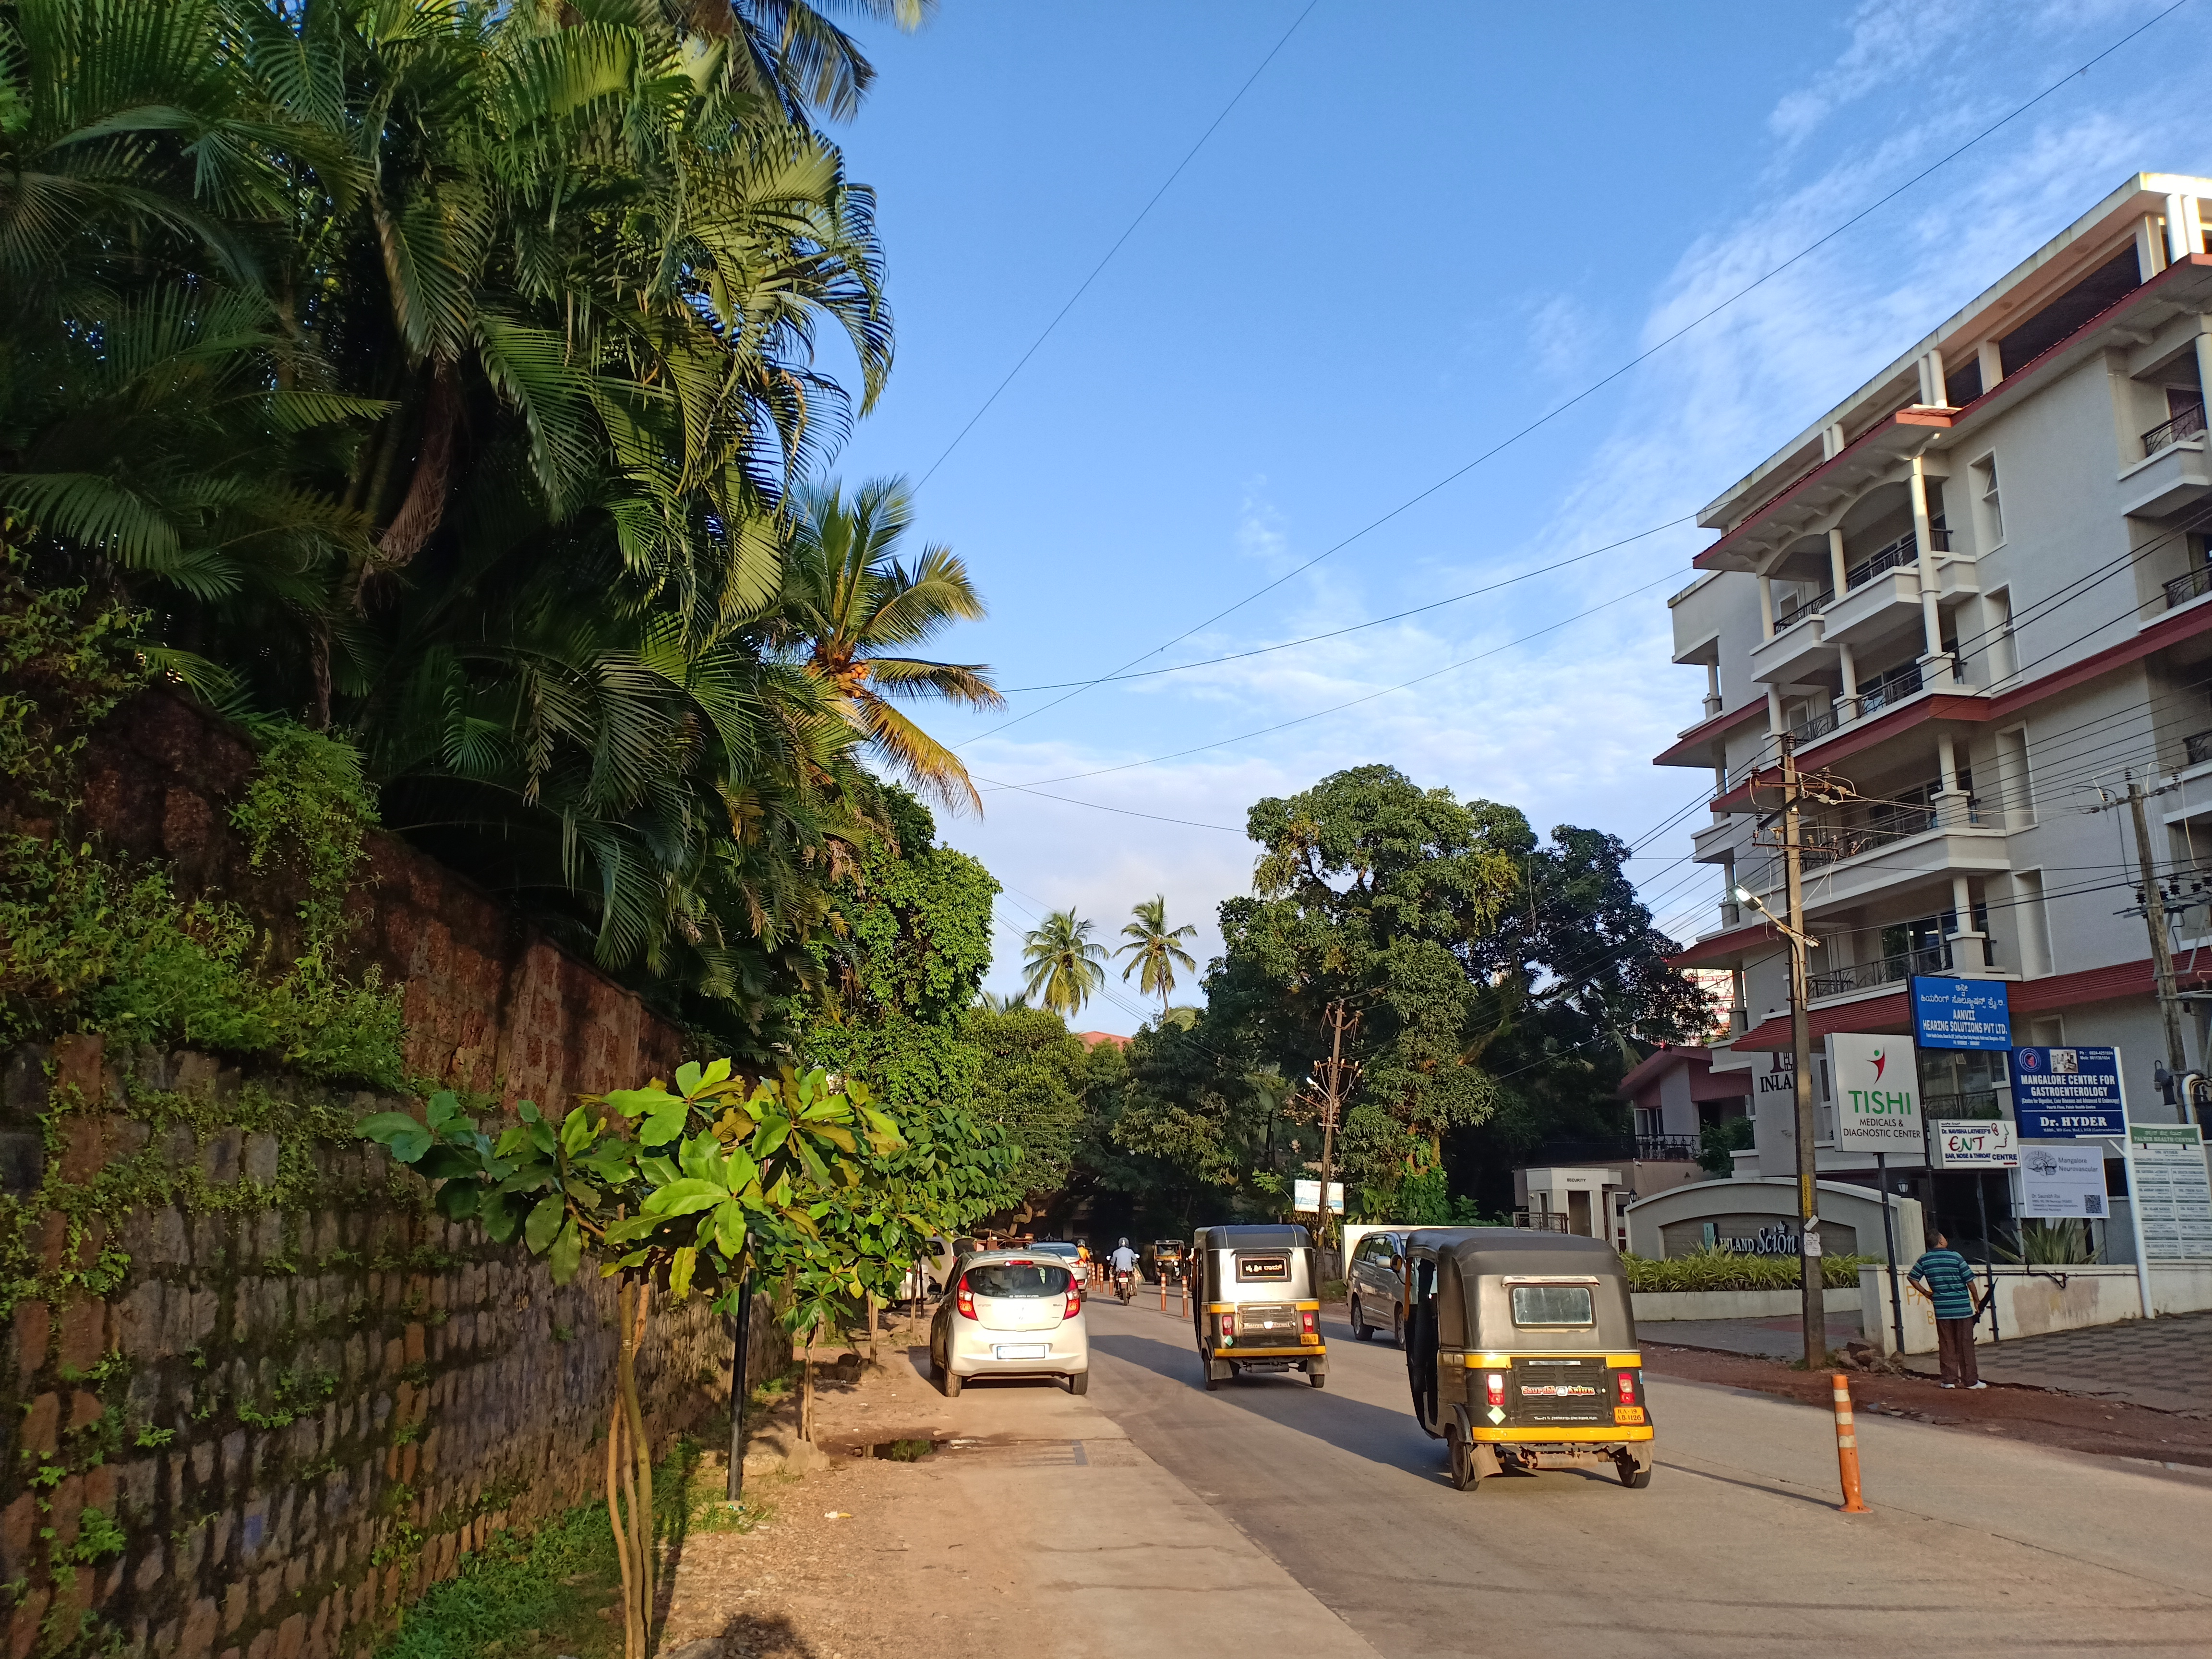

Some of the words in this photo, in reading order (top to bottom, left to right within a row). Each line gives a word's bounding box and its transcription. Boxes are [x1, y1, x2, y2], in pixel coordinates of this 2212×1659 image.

[1953, 980, 1970, 998] ಅನ್ವೀ
[1916, 991, 1950, 1006] ಹಿಯರಿಂಗ್
[1949, 992, 1987, 1011] ಸೊಲ್ಯೂಷನ್ಸ್
[1985, 993, 2007, 1011] ಪ್ರೈ.ಲಿ.
[1951, 1007, 1978, 1022] AANVII
[1922, 1017, 1951, 1034] HEARING
[1948, 1019, 1984, 1035] SOLUTIONS
[2076, 1055, 2112, 1063] Mob: 9011341004
[2018, 1070, 2068, 1086] MANGALORE
[2066, 1069, 2099, 1087] CENTRE
[2097, 1072, 2116, 1086] FOR
[2026, 1081, 2110, 1098] GASTROENTEROLOGY
[1845, 1084, 1912, 1117] TISHI
[1857, 1114, 1898, 1129] MEDICALS
[1894, 1118, 1905, 1128] &
[2037, 1115, 2062, 1129] Dr.
[2060, 1113, 2110, 1128] HYDER
[1842, 1127, 1893, 1139] DIAGNOSTIC
[1892, 1127, 1922, 1140] CENTER
[1938, 1126, 1969, 1136] Dr.NAVISHA
[1966, 1127, 1993, 1136] LATHEEF
[2132, 1133, 2155, 1143] PALNER
[2150, 1133, 2175, 1144] HEALTH
[2172, 1133, 2196, 1144] CENTRE
[1944, 1151, 1956, 1161] EAR
[1954, 1152, 1970, 1160] NOSE
[1972, 1150, 1993, 1159] THROAT
[1992, 1149, 2019, 1162] CENTRE
[2055, 1155, 2089, 1166] Mangalore
[2057, 1161, 2099, 1174] Neurovascular
[1716, 1233, 1758, 1254] INLAND
[1753, 1224, 1800, 1257] Scion
[1262, 1262, 1285, 1274] ರಾಮ್
[1518, 1383, 1560, 1397] Saurabh
[1566, 1382, 1597, 1397] Arjun